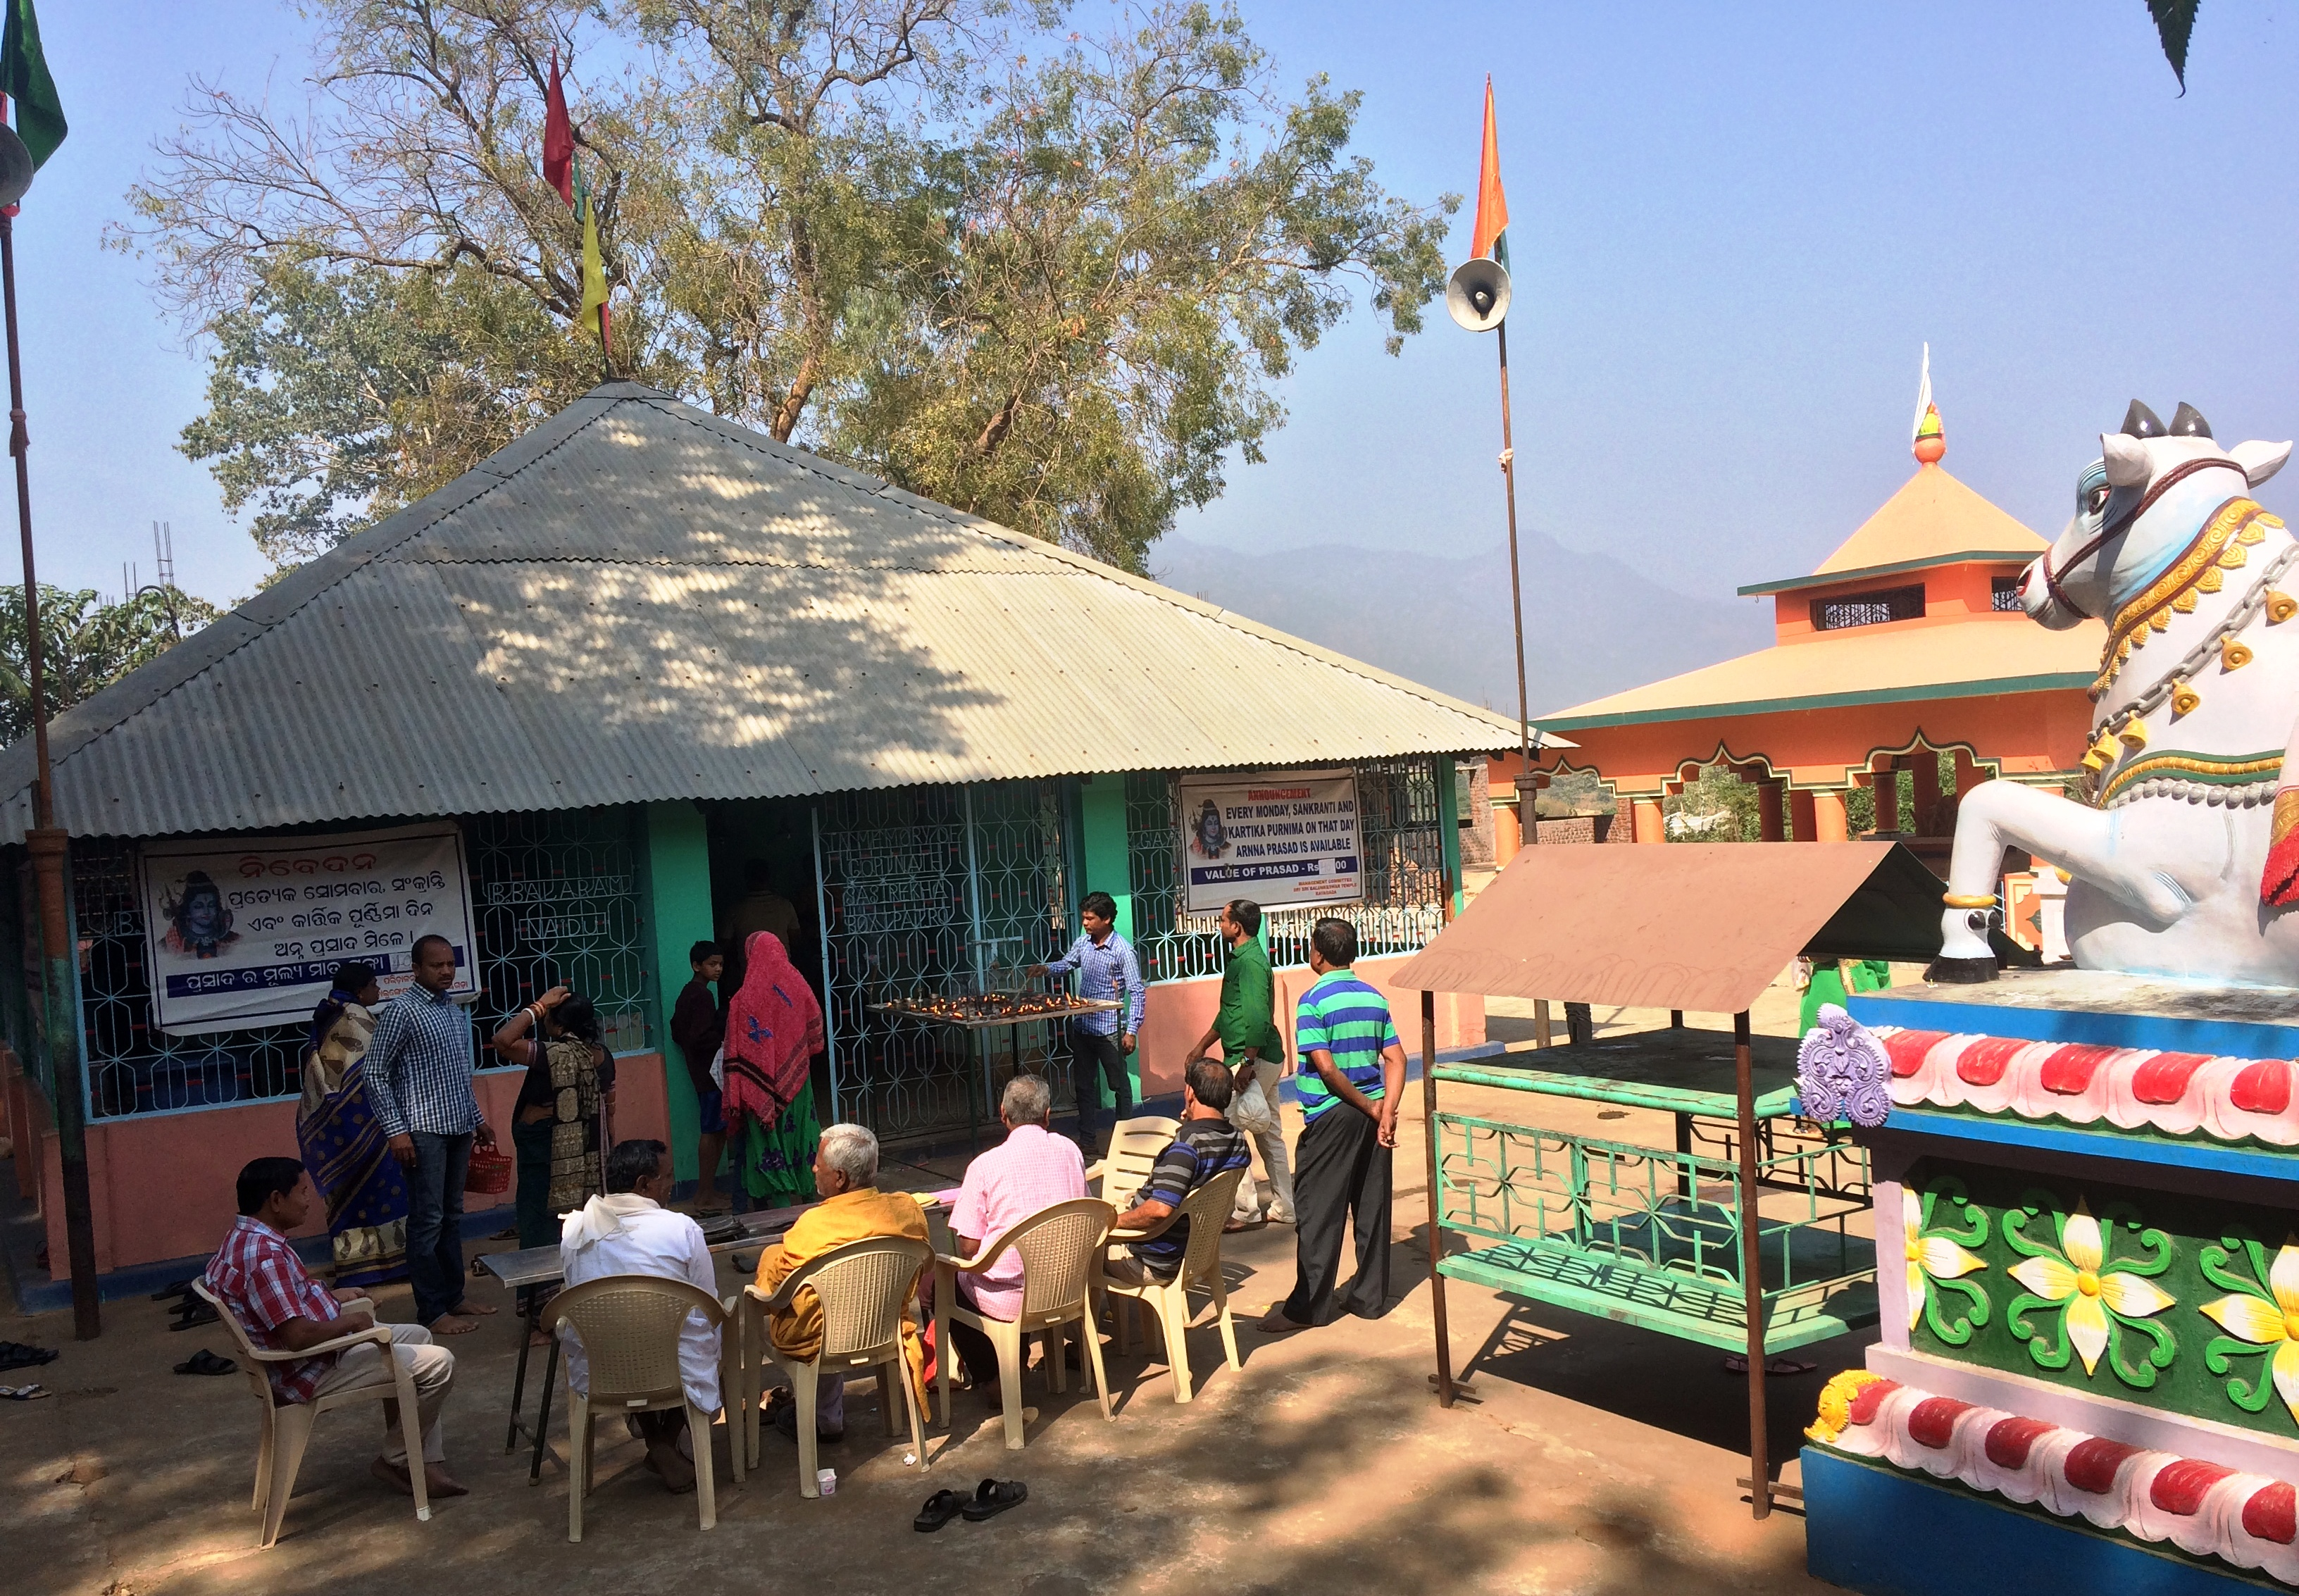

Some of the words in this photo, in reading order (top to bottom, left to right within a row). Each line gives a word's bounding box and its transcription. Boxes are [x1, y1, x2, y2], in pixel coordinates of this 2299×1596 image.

[1245, 782, 1314, 804] ANNOUNCEMENT
[1221, 801, 1256, 821] EVERY
[1253, 799, 1292, 819] MONDAY,
[1288, 798, 1339, 817] SANKRANTI
[1333, 795, 1358, 815] AND
[1223, 823, 1269, 844] KARTIKA
[1264, 819, 1307, 837] PURNIMA
[1301, 819, 1319, 837] ON
[1314, 816, 1340, 835] THAT
[1336, 816, 1357, 833] DAY
[1233, 837, 1267, 860] ARNNA
[1263, 837, 1301, 859] PRASAD
[1296, 837, 1312, 857] IS
[1308, 835, 1353, 855] AVAILABLE
[227, 878, 304, 914] ପ୍ରତ୍ୟେକ
[247, 911, 287, 935] ଏବଂ
[230, 848, 380, 885] ନିବେଦନ
[289, 899, 346, 930] କାର୍ମିକ
[301, 875, 388, 904] ସୋମବାର,
[342, 895, 405, 931] ପୂର୍ଣ୍ଣିମା
[401, 894, 436, 919] ଦିନ
[390, 861, 449, 898] ସଂକ୍ରାନ୍ତି
[1203, 863, 1242, 884] VALUE
[1238, 866, 1259, 880] OF
[1254, 856, 1302, 878] PRASAD
[358, 923, 406, 949] ମିଳେ
[268, 936, 308, 961] ଅନ୍ନ
[306, 935, 361, 961] ପ୍ରସାଦ
[185, 965, 238, 995] ପ୍ରସାଦ
[237, 965, 261, 992] ର
[258, 961, 306, 989] ମୂଲ୍ଯ